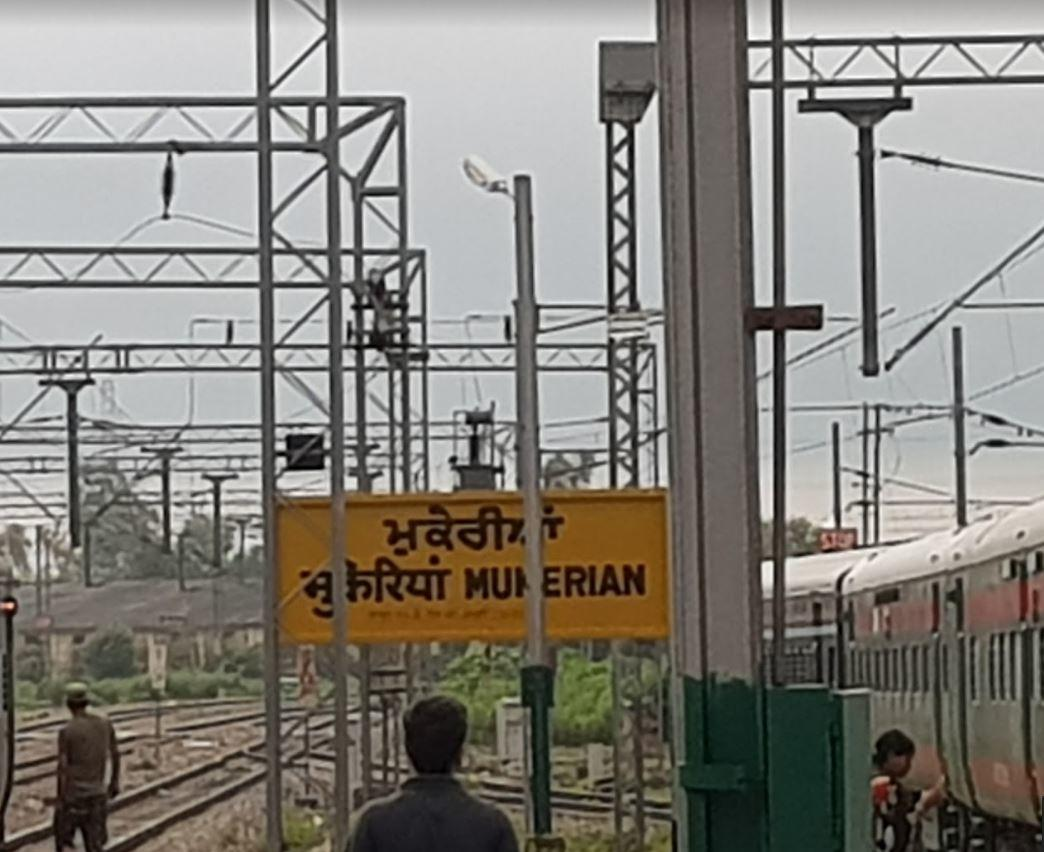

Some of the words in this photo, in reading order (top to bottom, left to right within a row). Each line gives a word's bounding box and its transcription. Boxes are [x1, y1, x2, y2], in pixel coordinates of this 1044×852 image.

[370, 494, 525, 559] ਮੁਕੇਰੀ
[294, 565, 334, 625] ਸੁ
[345, 551, 458, 608] केरियां
[459, 559, 528, 605] MUN
[541, 559, 650, 603] ERIAN